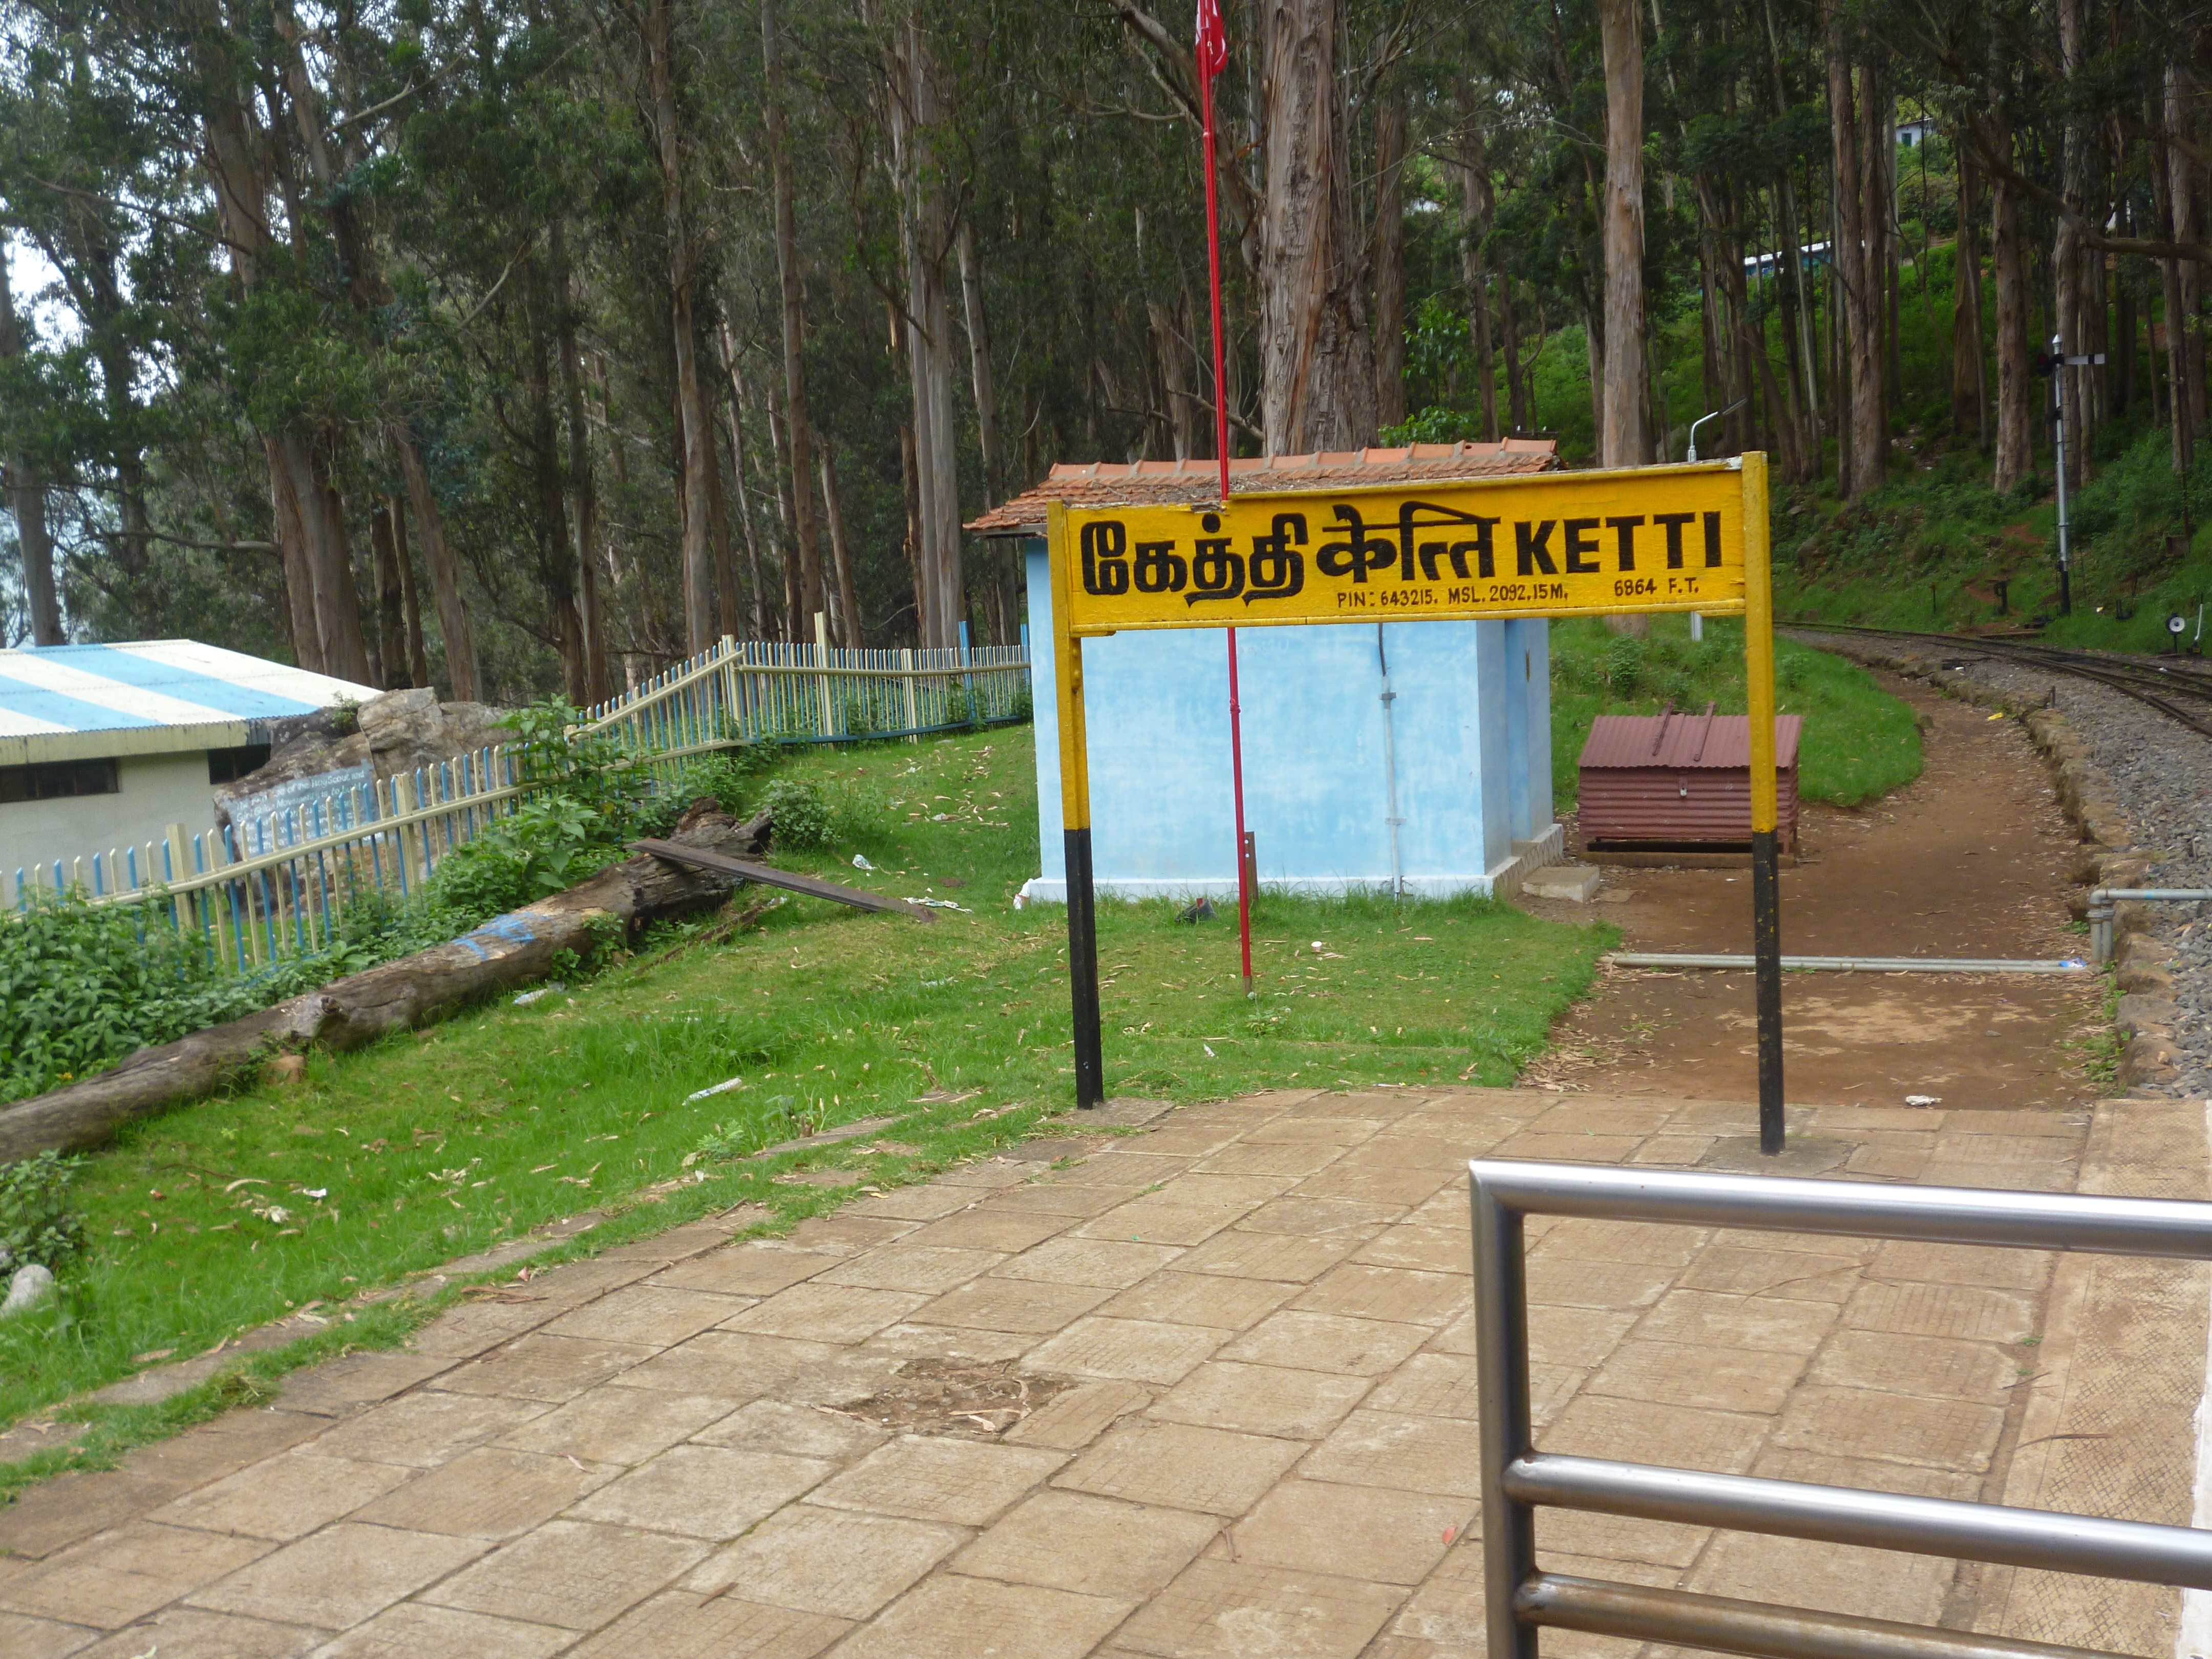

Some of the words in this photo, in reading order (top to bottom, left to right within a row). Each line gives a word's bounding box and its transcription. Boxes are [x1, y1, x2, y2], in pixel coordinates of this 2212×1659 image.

[1311, 494, 1504, 591] केत्ति
[1513, 505, 1726, 577] KETTI
[1078, 503, 1315, 611] கேத்தி
[1334, 584, 1442, 610] PIN:643215.
[1442, 580, 1571, 607] MSL.2092.15M.
[1611, 576, 1658, 599] 6864
[1661, 575, 1701, 597] F.T.